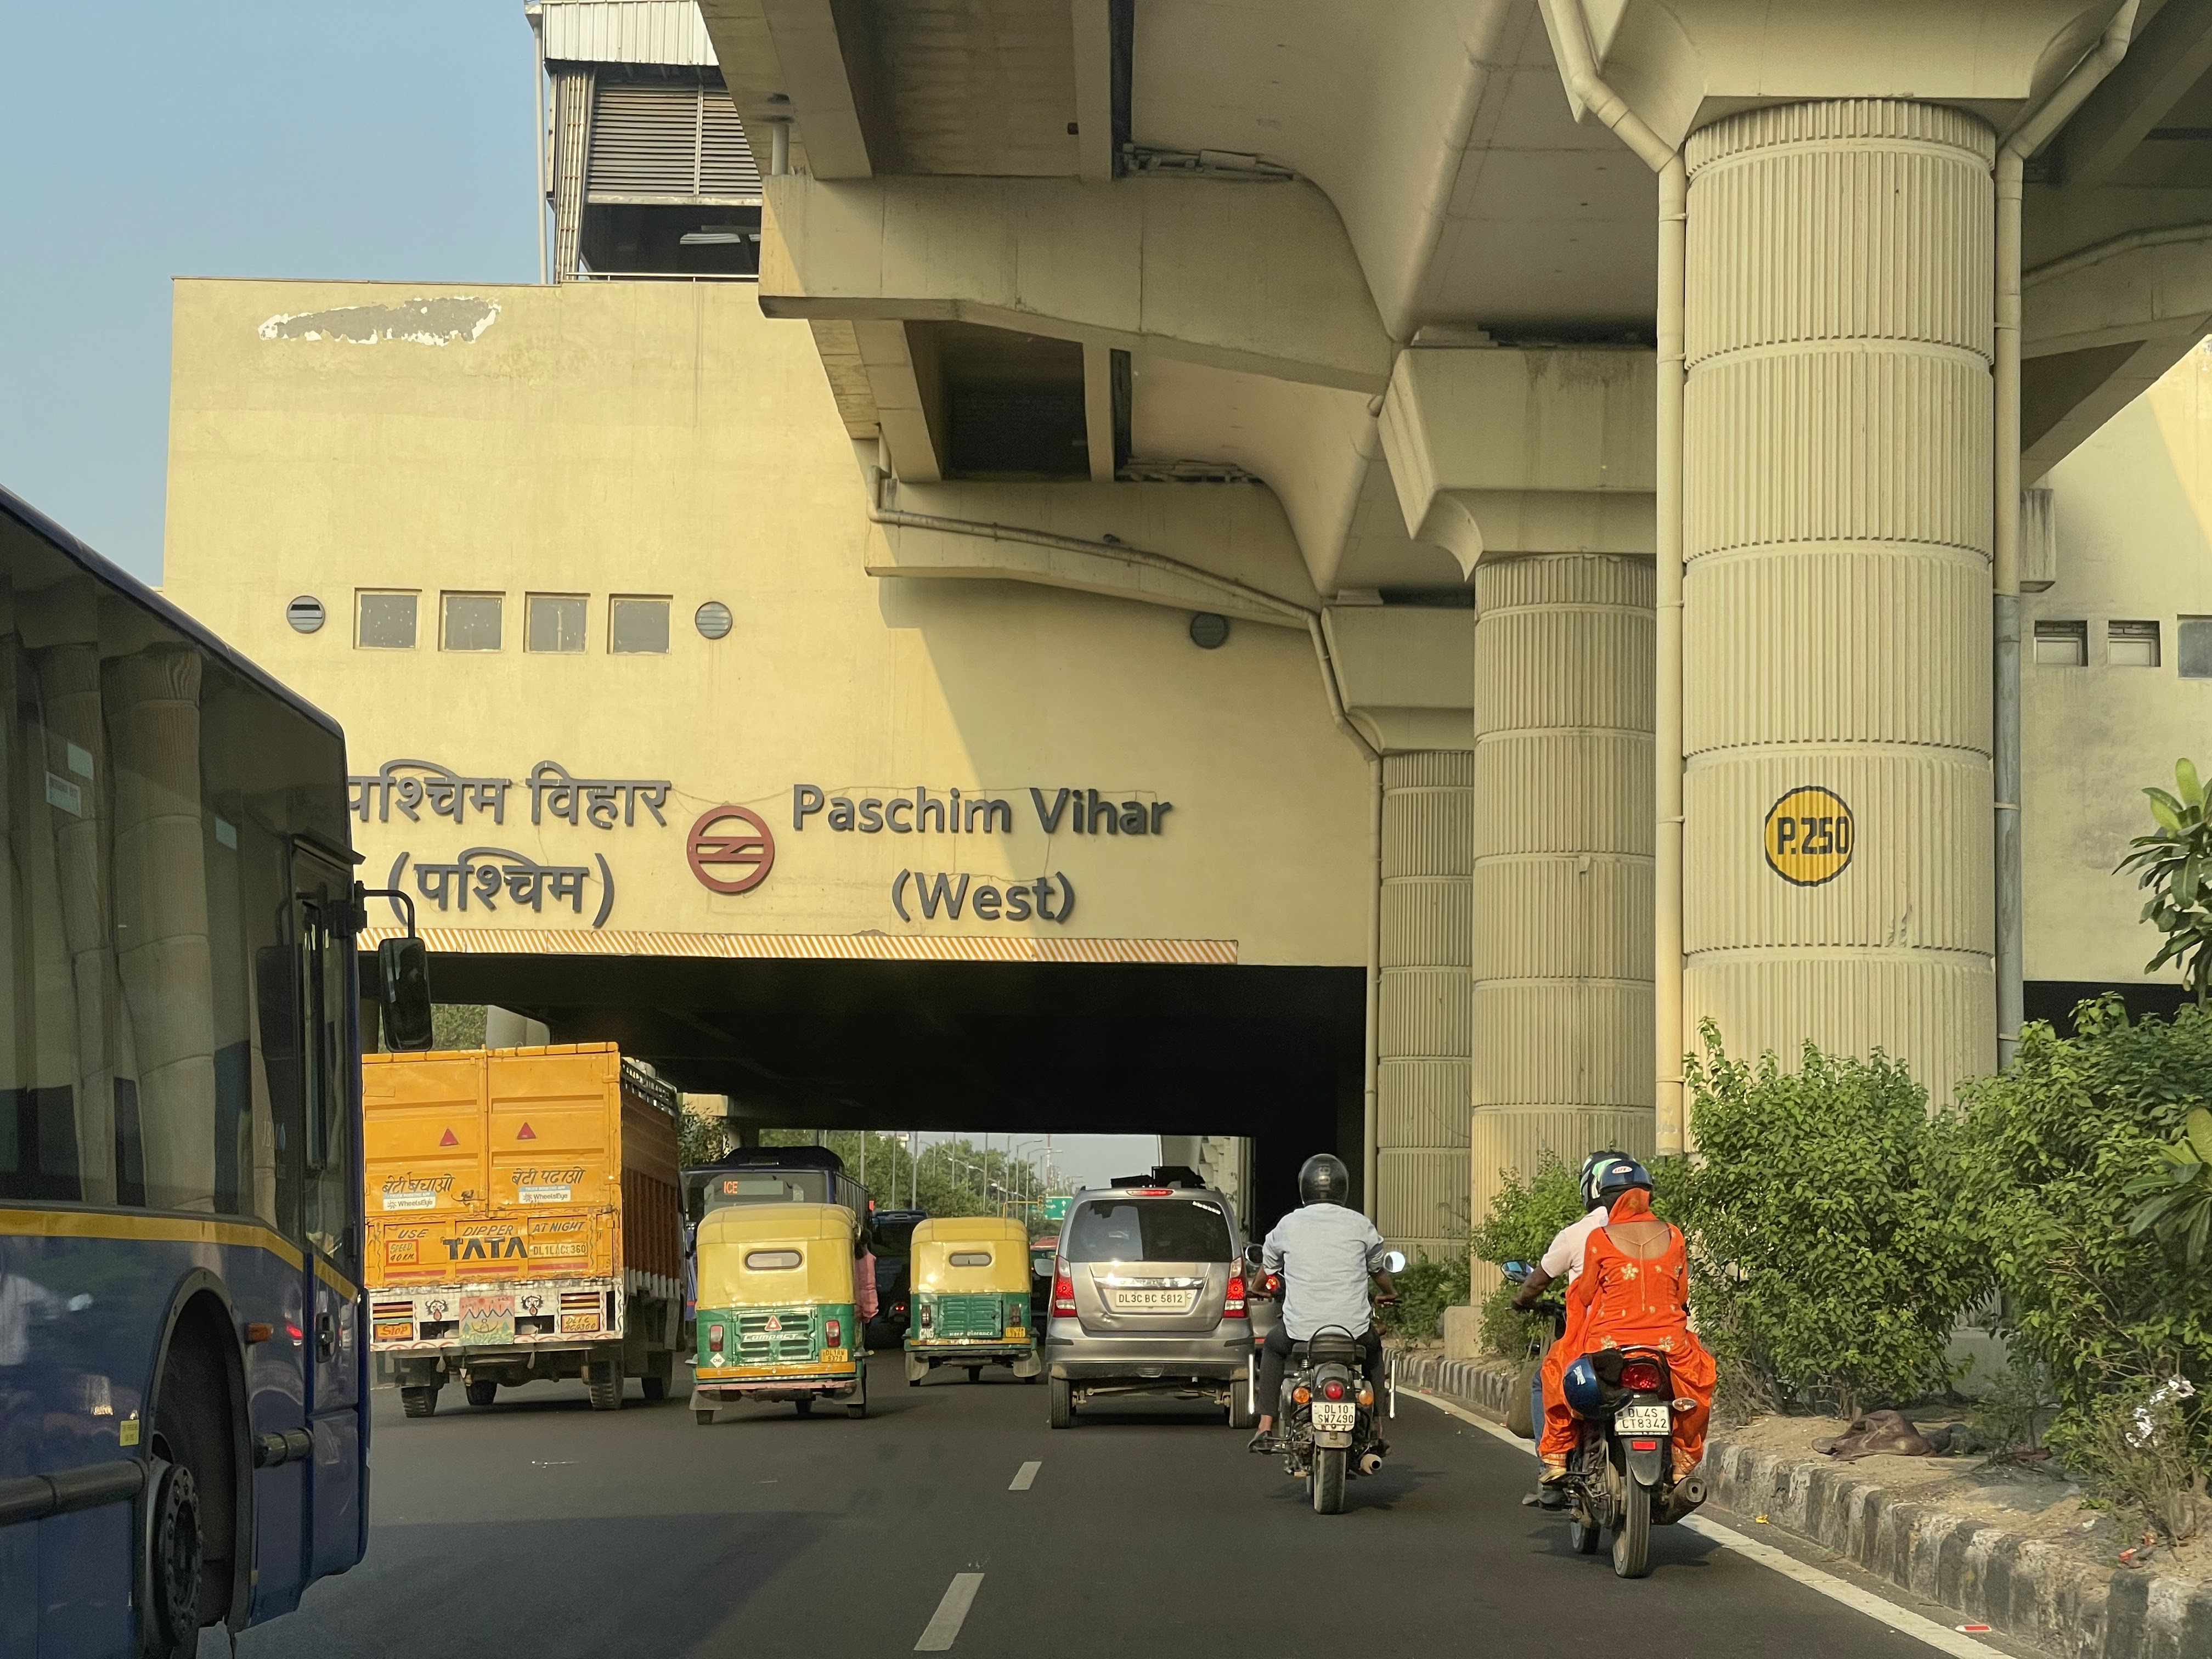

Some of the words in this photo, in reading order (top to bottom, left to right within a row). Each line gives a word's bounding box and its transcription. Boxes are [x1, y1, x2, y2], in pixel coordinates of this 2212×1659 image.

[347, 757, 514, 826] पश्चिम
[526, 757, 674, 832] विहार
[792, 782, 1011, 834] Paschim
[1030, 785, 1174, 837] Vihar
[386, 844, 617, 930] (पश्चिम)
[888, 866, 1076, 924] (West)
[380, 1172, 410, 1197] बेटी
[405, 1171, 458, 1196] बचाओ
[508, 1164, 538, 1187] बेटी
[541, 1163, 586, 1186] पढ़ाओ
[721, 1177, 739, 1193] ICE
[395, 1227, 429, 1240] USE
[460, 1223, 515, 1238] DIPPER
[528, 1221, 550, 1234] AT
[546, 1220, 588, 1233] NIGHT
[442, 1235, 529, 1260] TATA
[1104, 1283, 1198, 1314] DL3CBC5812